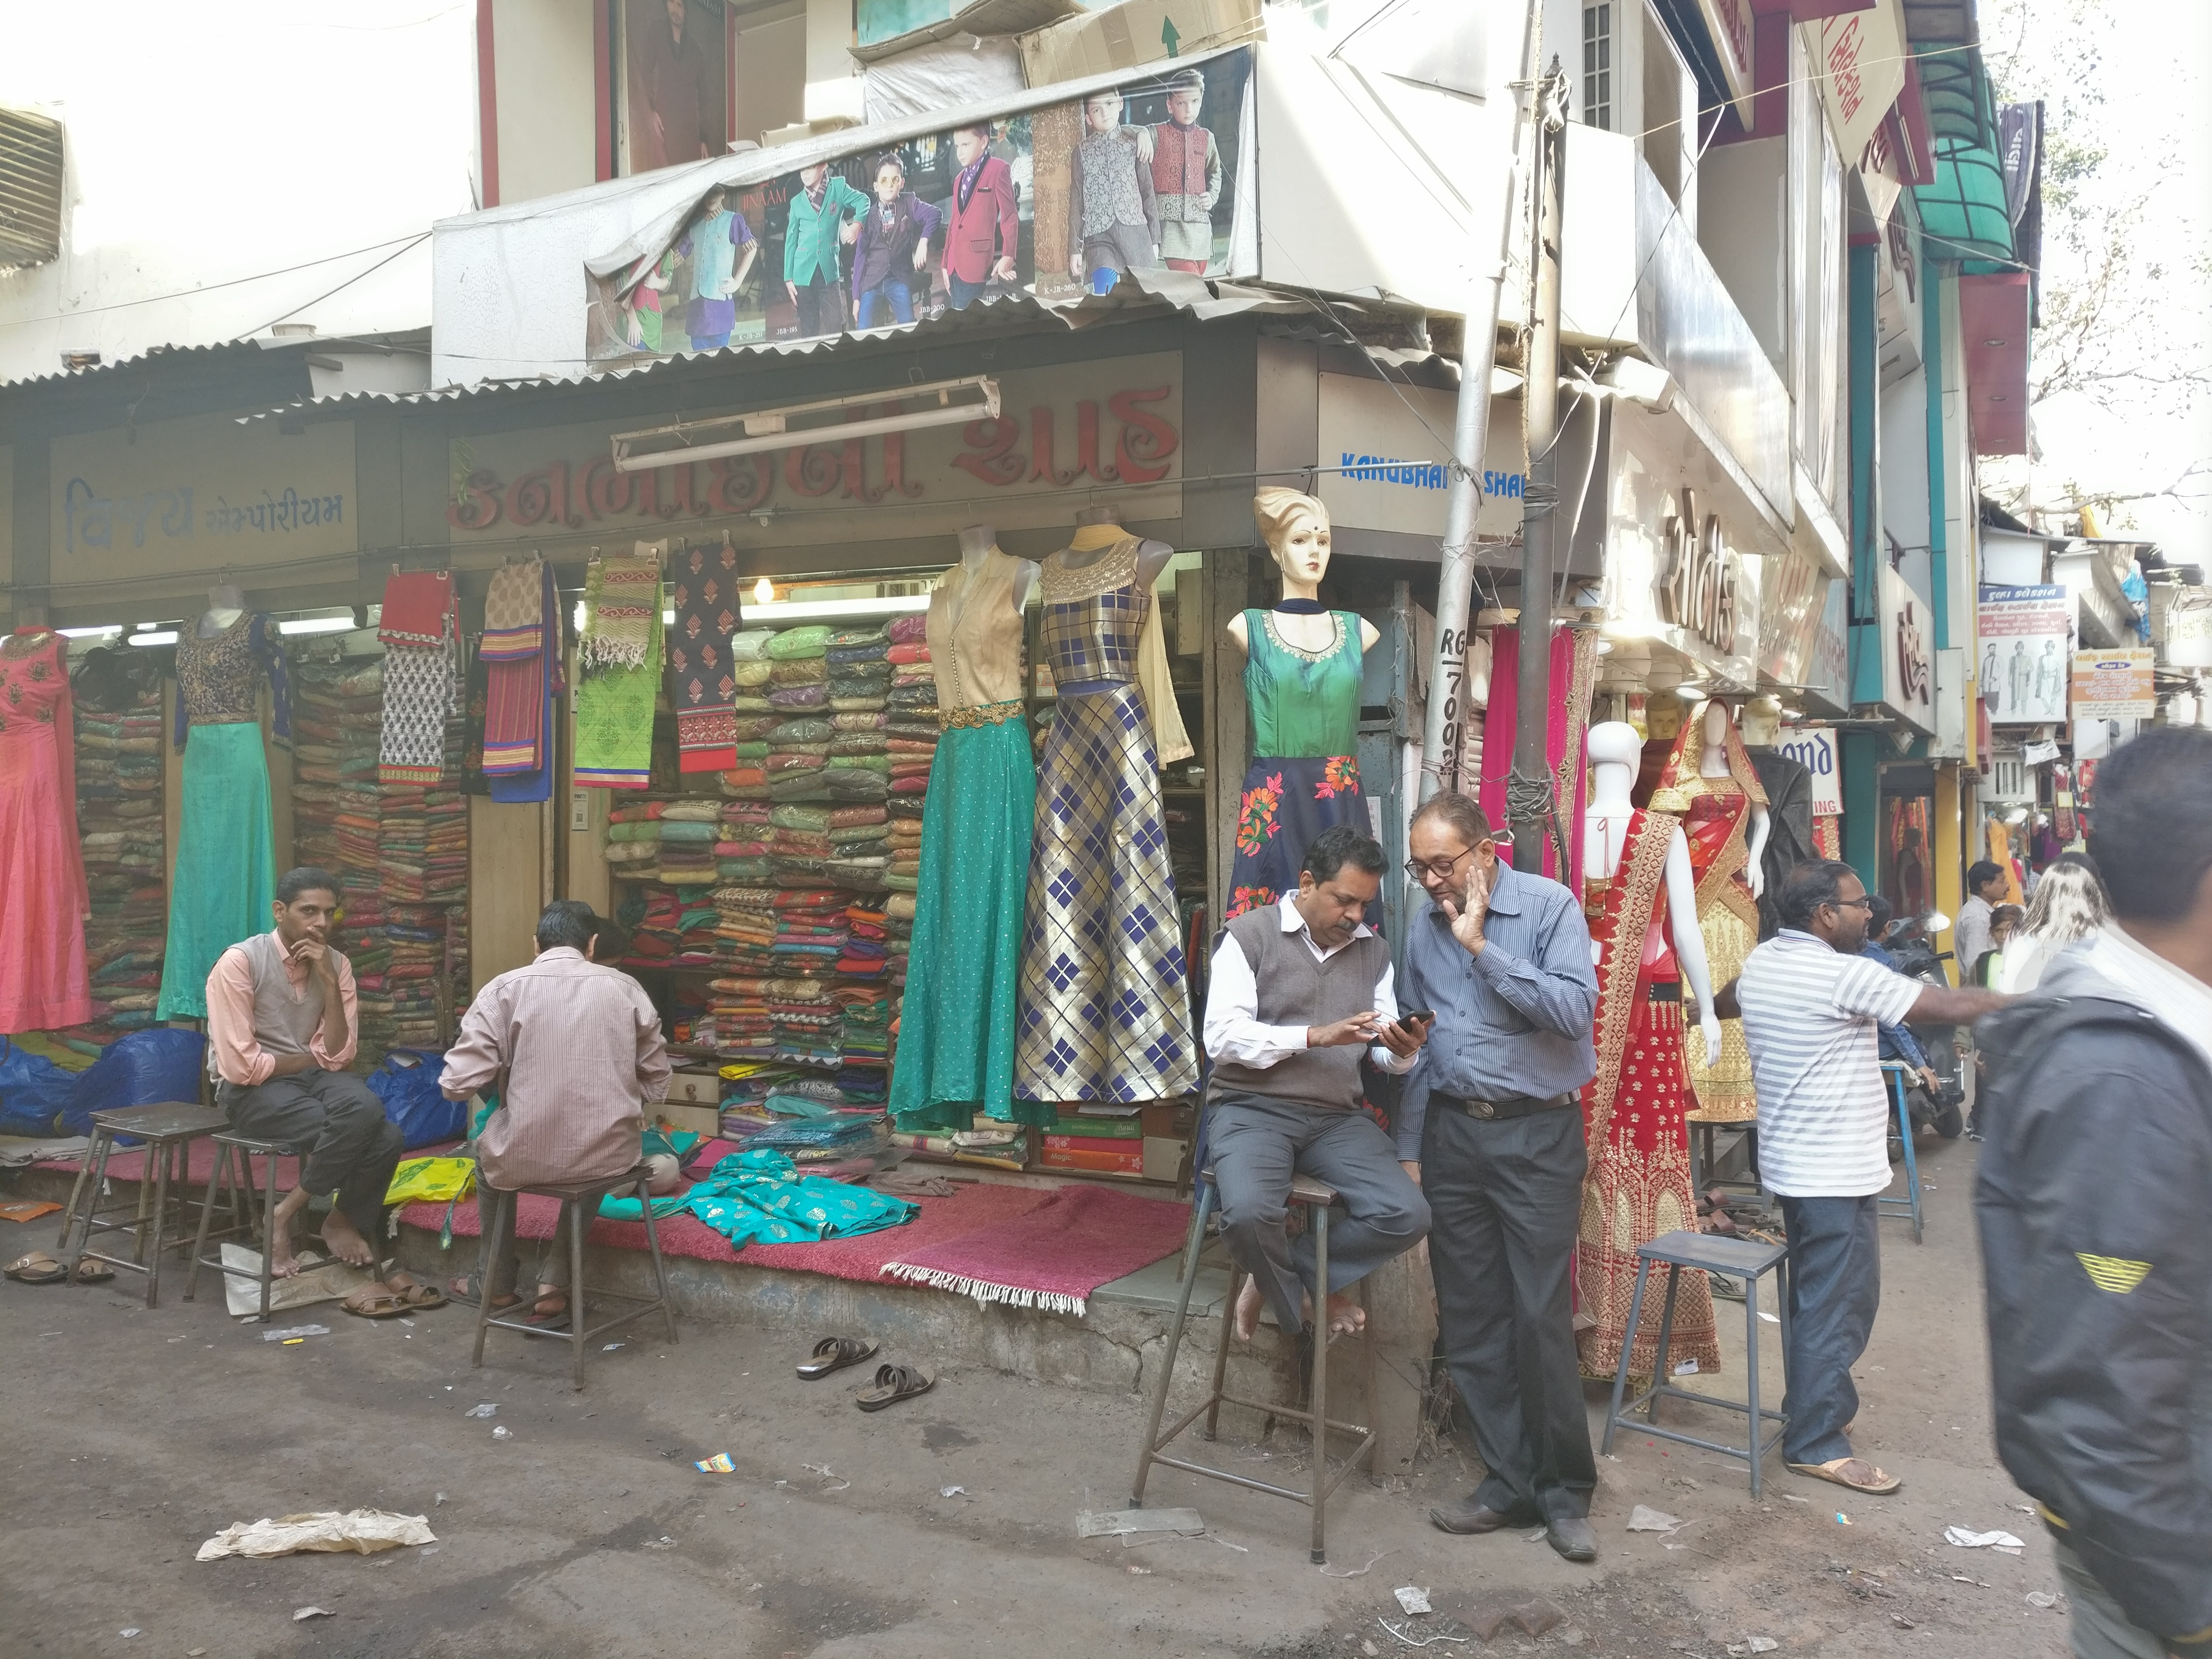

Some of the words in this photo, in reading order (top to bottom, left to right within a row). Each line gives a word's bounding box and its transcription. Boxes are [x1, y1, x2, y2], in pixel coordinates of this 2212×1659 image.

[1822, 14, 1872, 130] સિલેક્શન
[56, 472, 204, 563] વિજય
[199, 482, 350, 540] એમ્પોરીયમ
[445, 384, 932, 534] કનભાઈના
[943, 378, 1185, 499] શાહ
[1339, 450, 1449, 492] KANUBHAI
[1482, 465, 1525, 499] SHAI
[1649, 482, 1757, 663] સોનીકા
[1437, 623, 1470, 660] RG
[1431, 666, 1464, 779] 7002
[1793, 727, 1839, 780] nd
[1812, 798, 1841, 814] ING